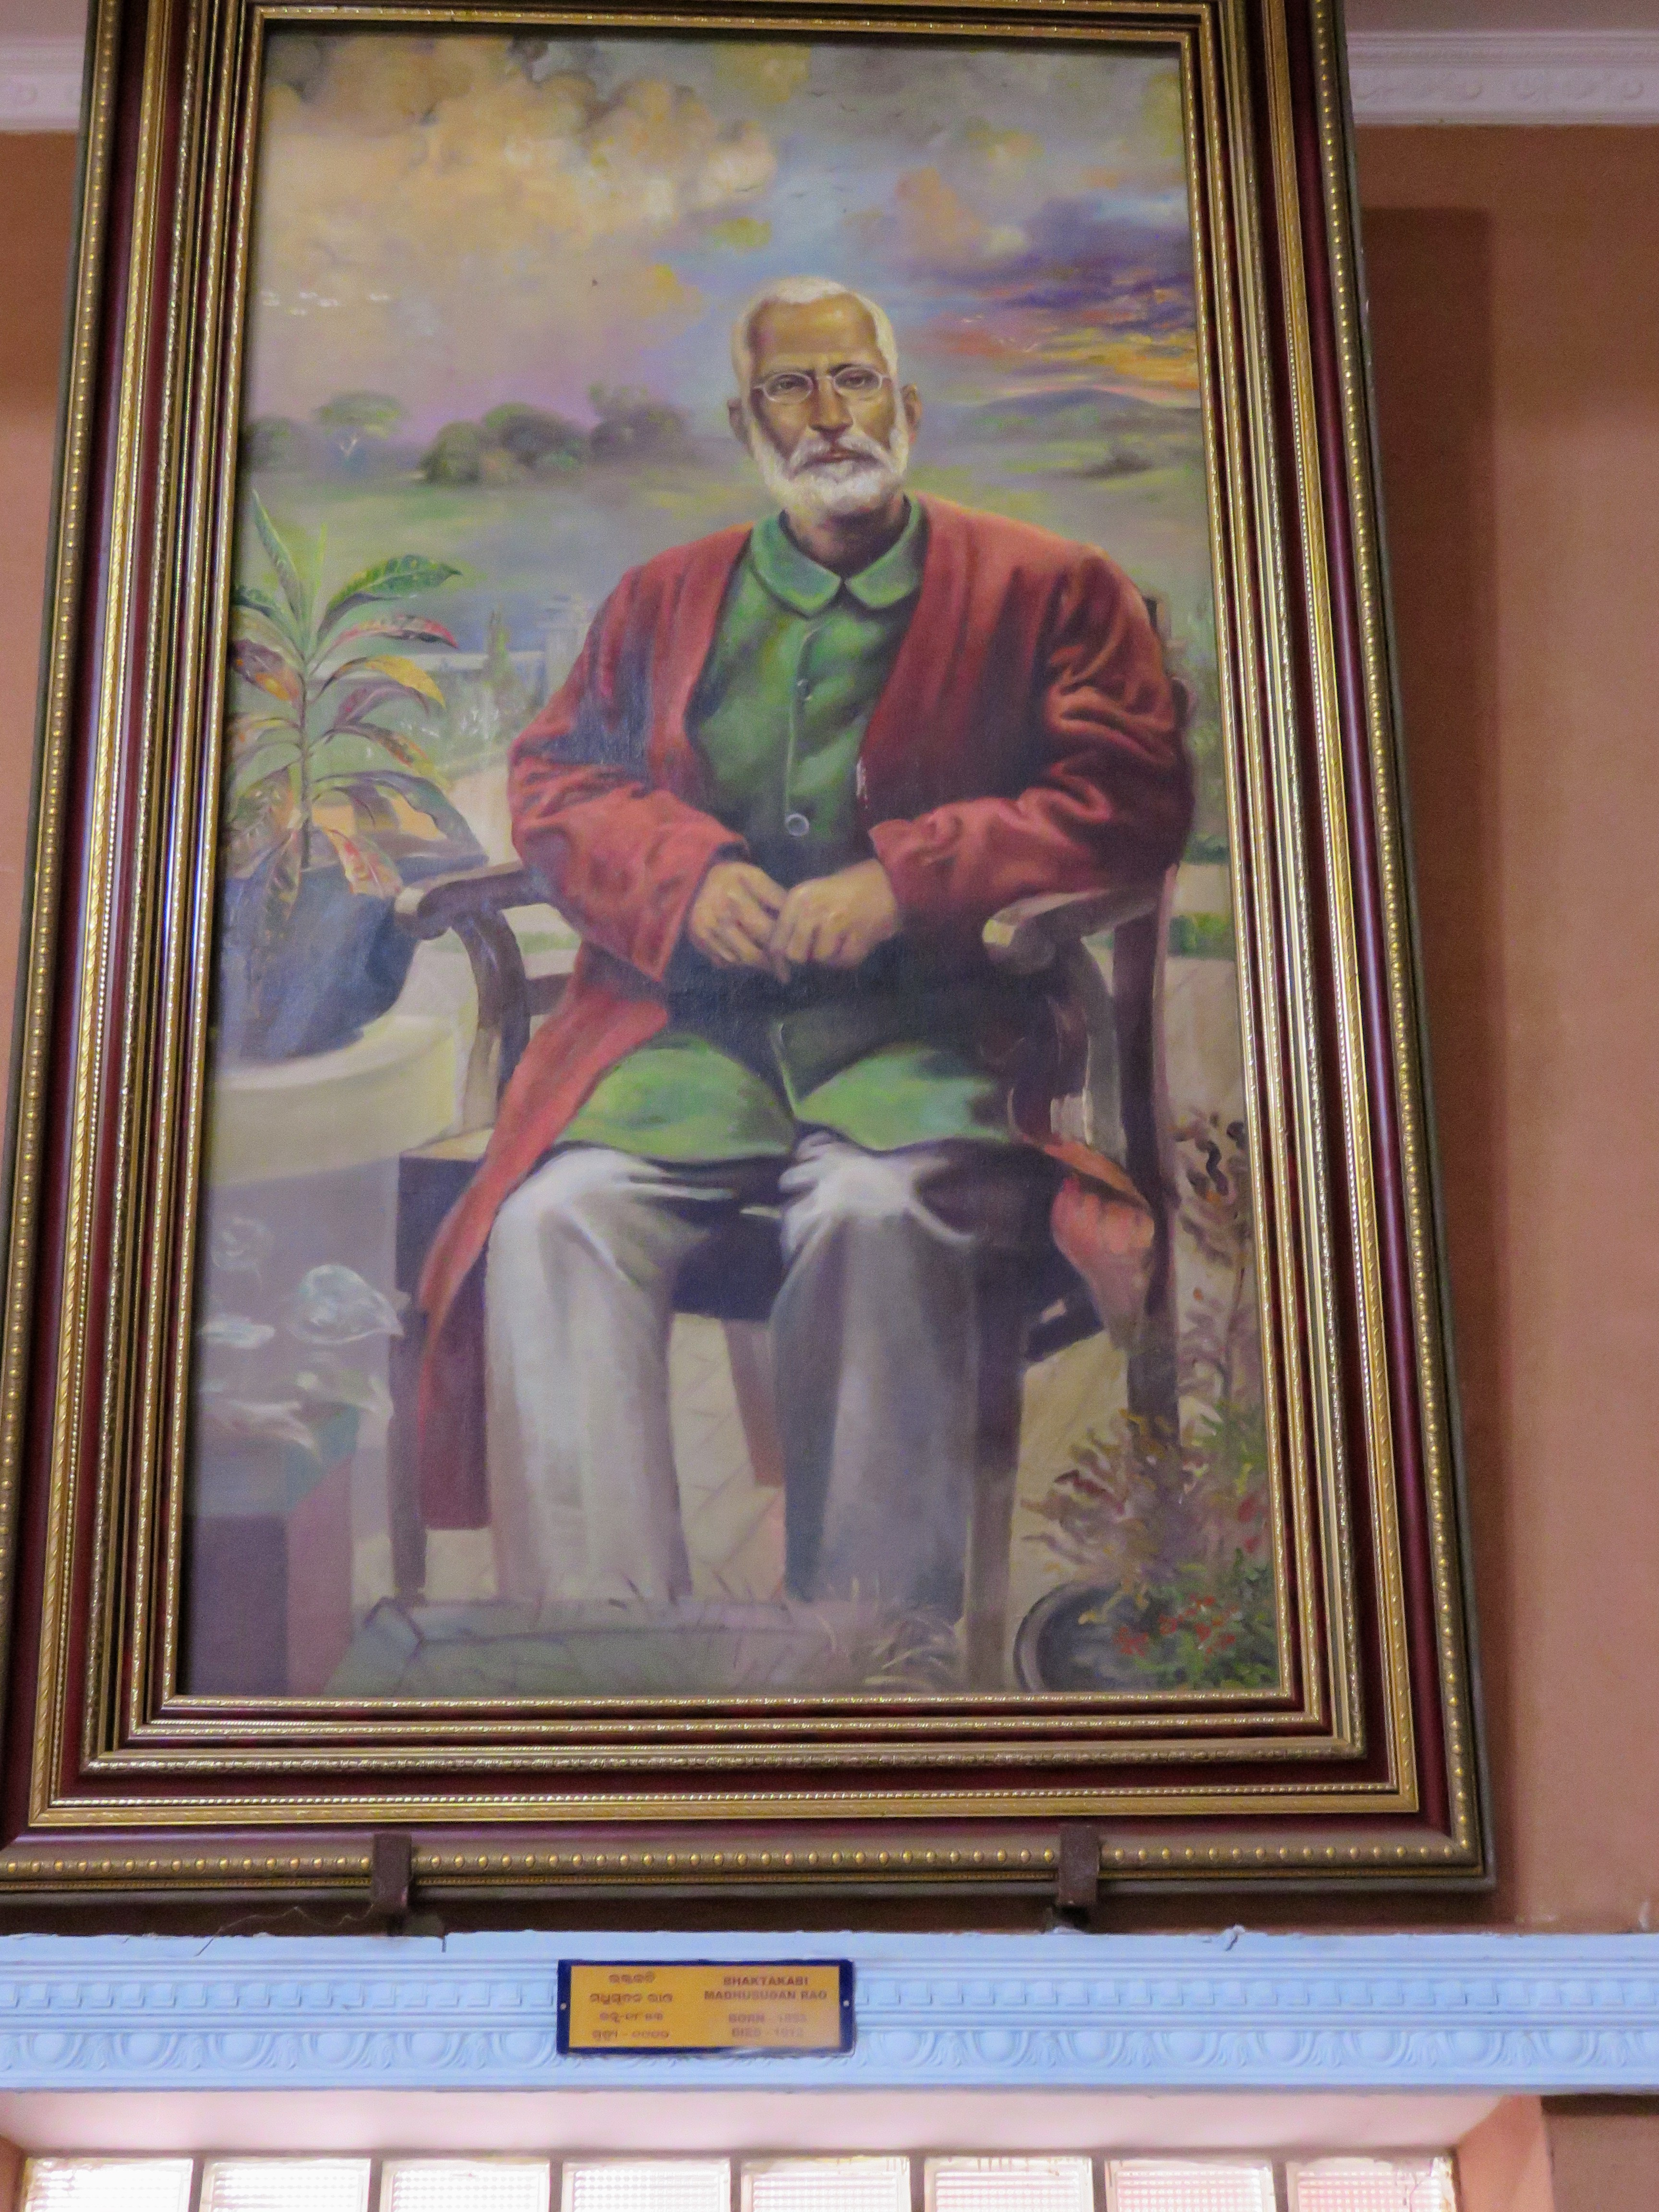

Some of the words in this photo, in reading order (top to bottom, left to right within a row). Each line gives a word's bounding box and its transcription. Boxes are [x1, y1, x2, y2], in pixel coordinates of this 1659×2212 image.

[717, 1971, 809, 1989] BHAKTAKABI
[799, 1985, 830, 2004] RAO